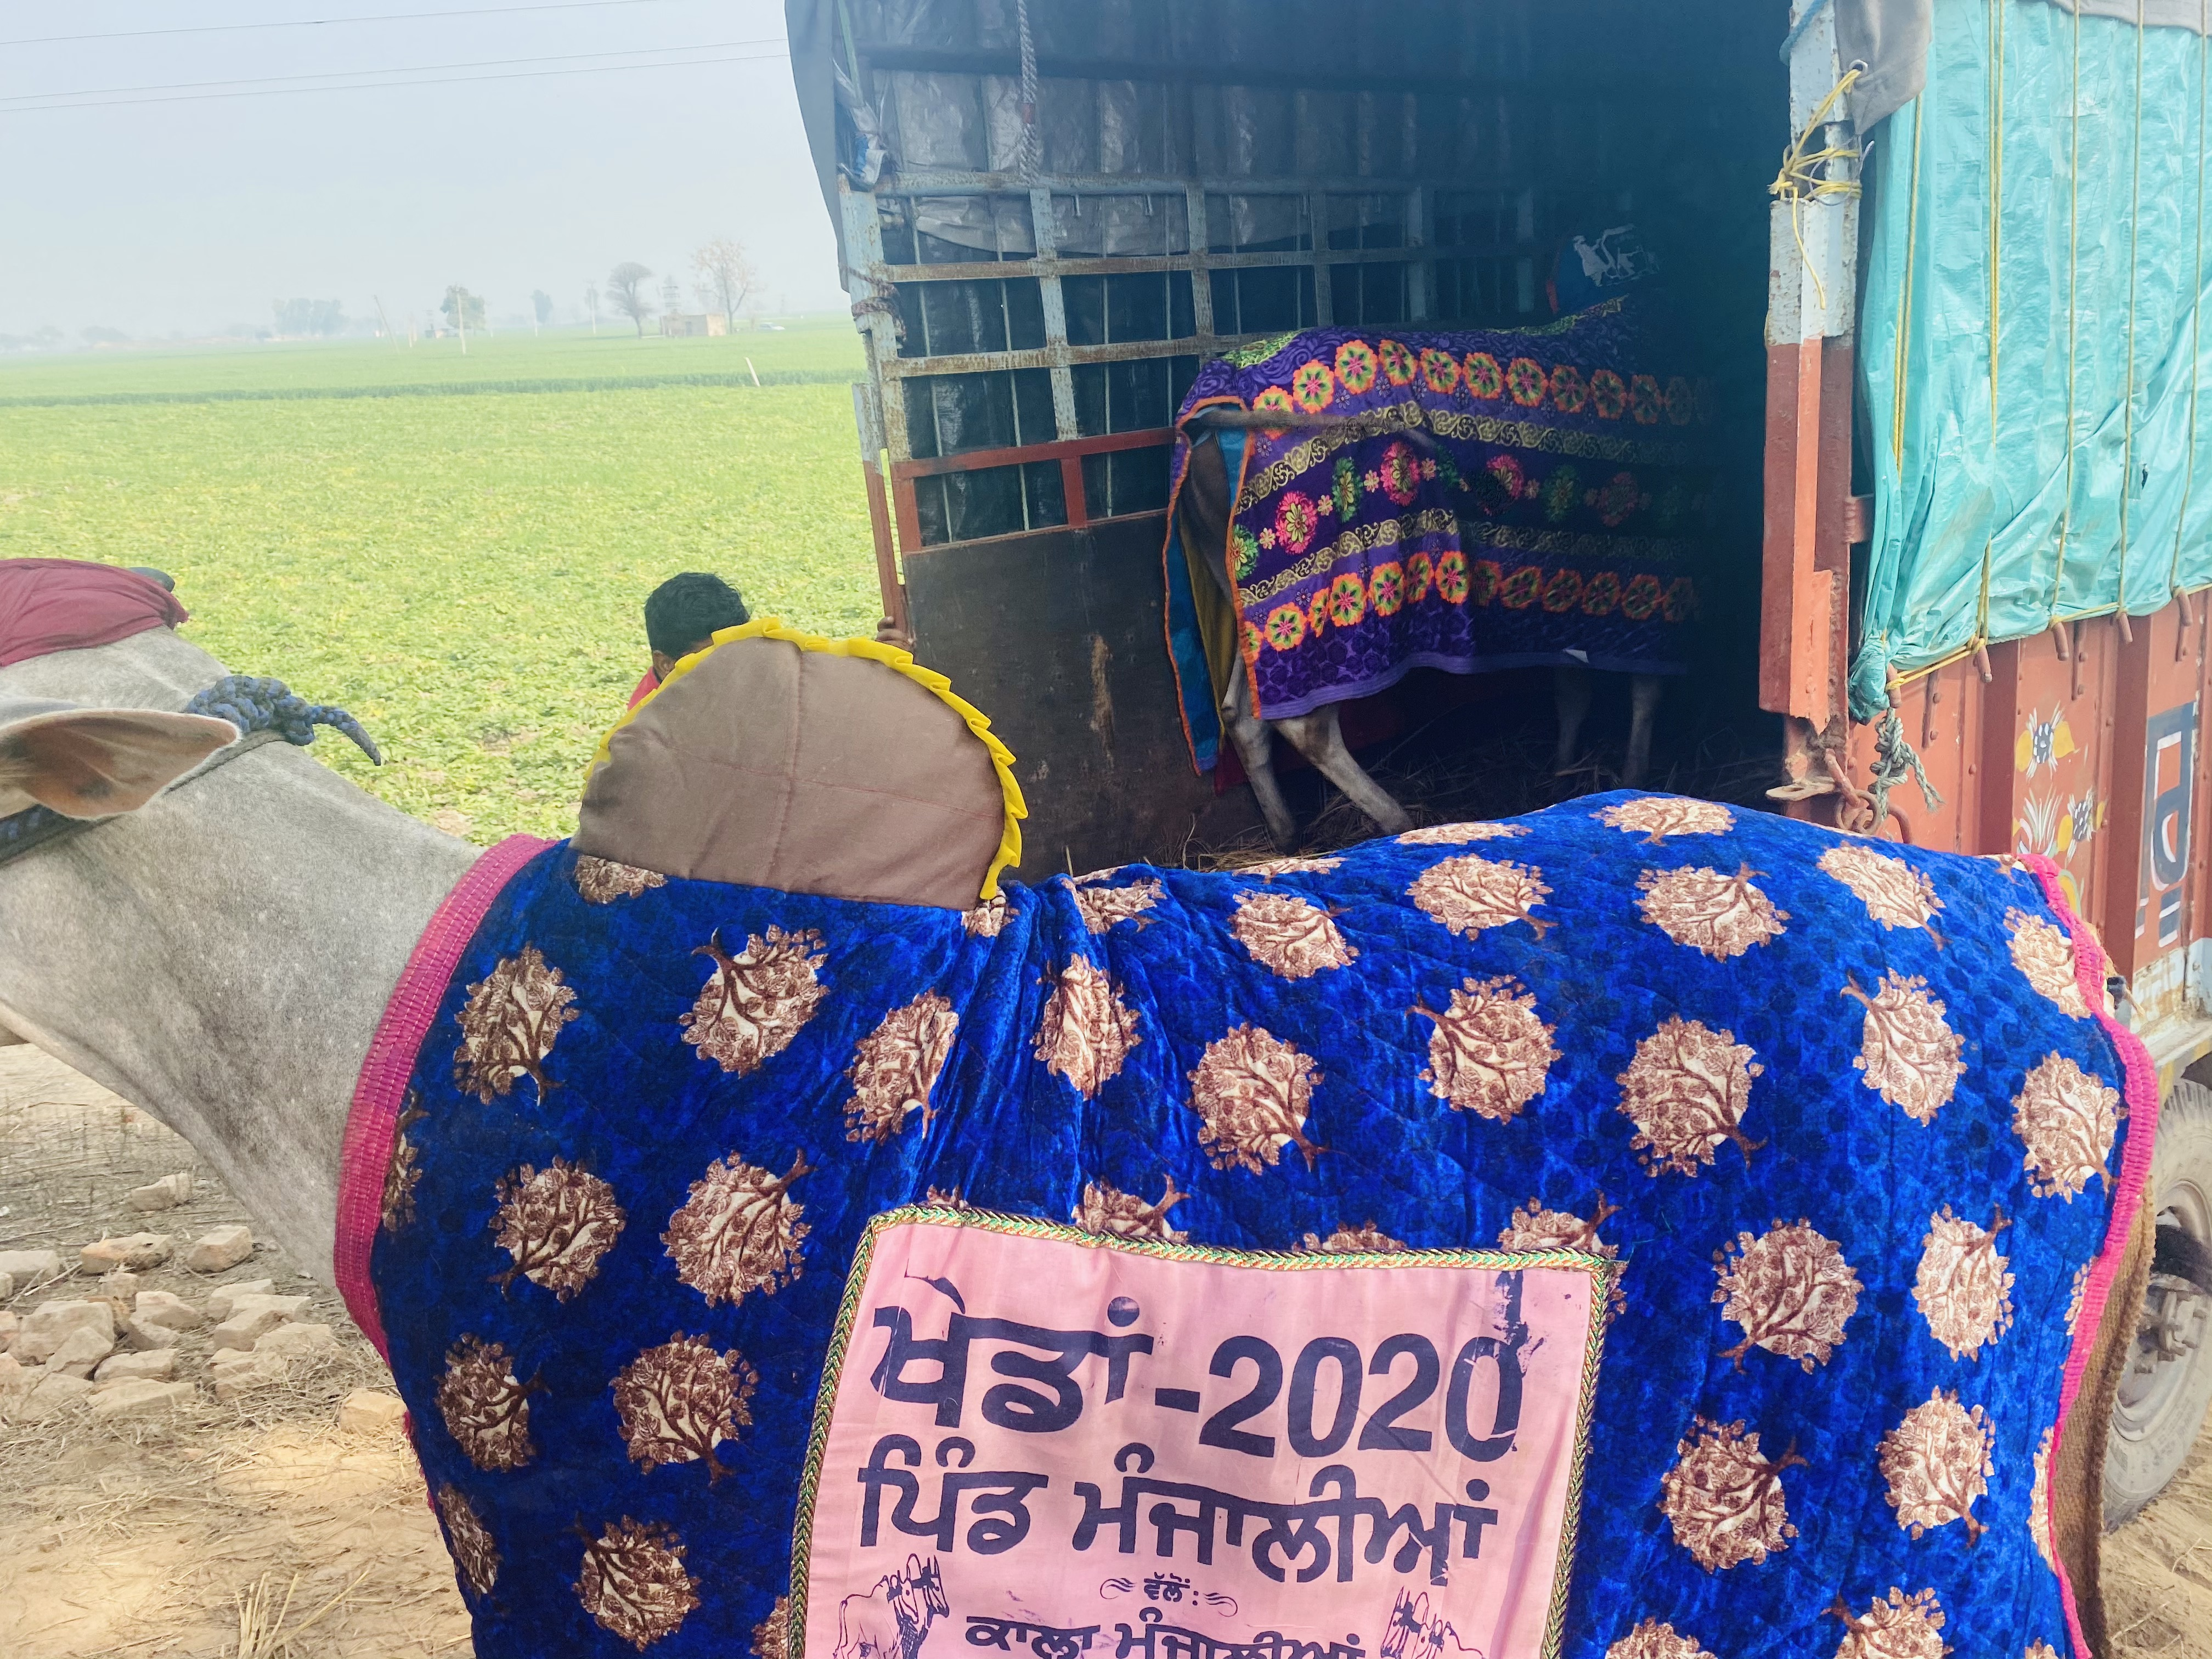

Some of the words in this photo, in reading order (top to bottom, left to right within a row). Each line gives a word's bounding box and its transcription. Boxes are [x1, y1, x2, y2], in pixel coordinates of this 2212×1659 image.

[2130, 689, 2201, 978] ਰੂ
[855, 1248, 1169, 1443] ਖੇਡਾਂ
[1190, 1328, 1534, 1471] 2020
[824, 1425, 1059, 1568] ਪਿੰਡ
[1058, 1436, 1514, 1593] ਮੰਜਾਲੀਆ
[956, 1605, 1107, 1658] ਕਾਲਾ
[1136, 1569, 1198, 1606] ਵੱਲੋਂ